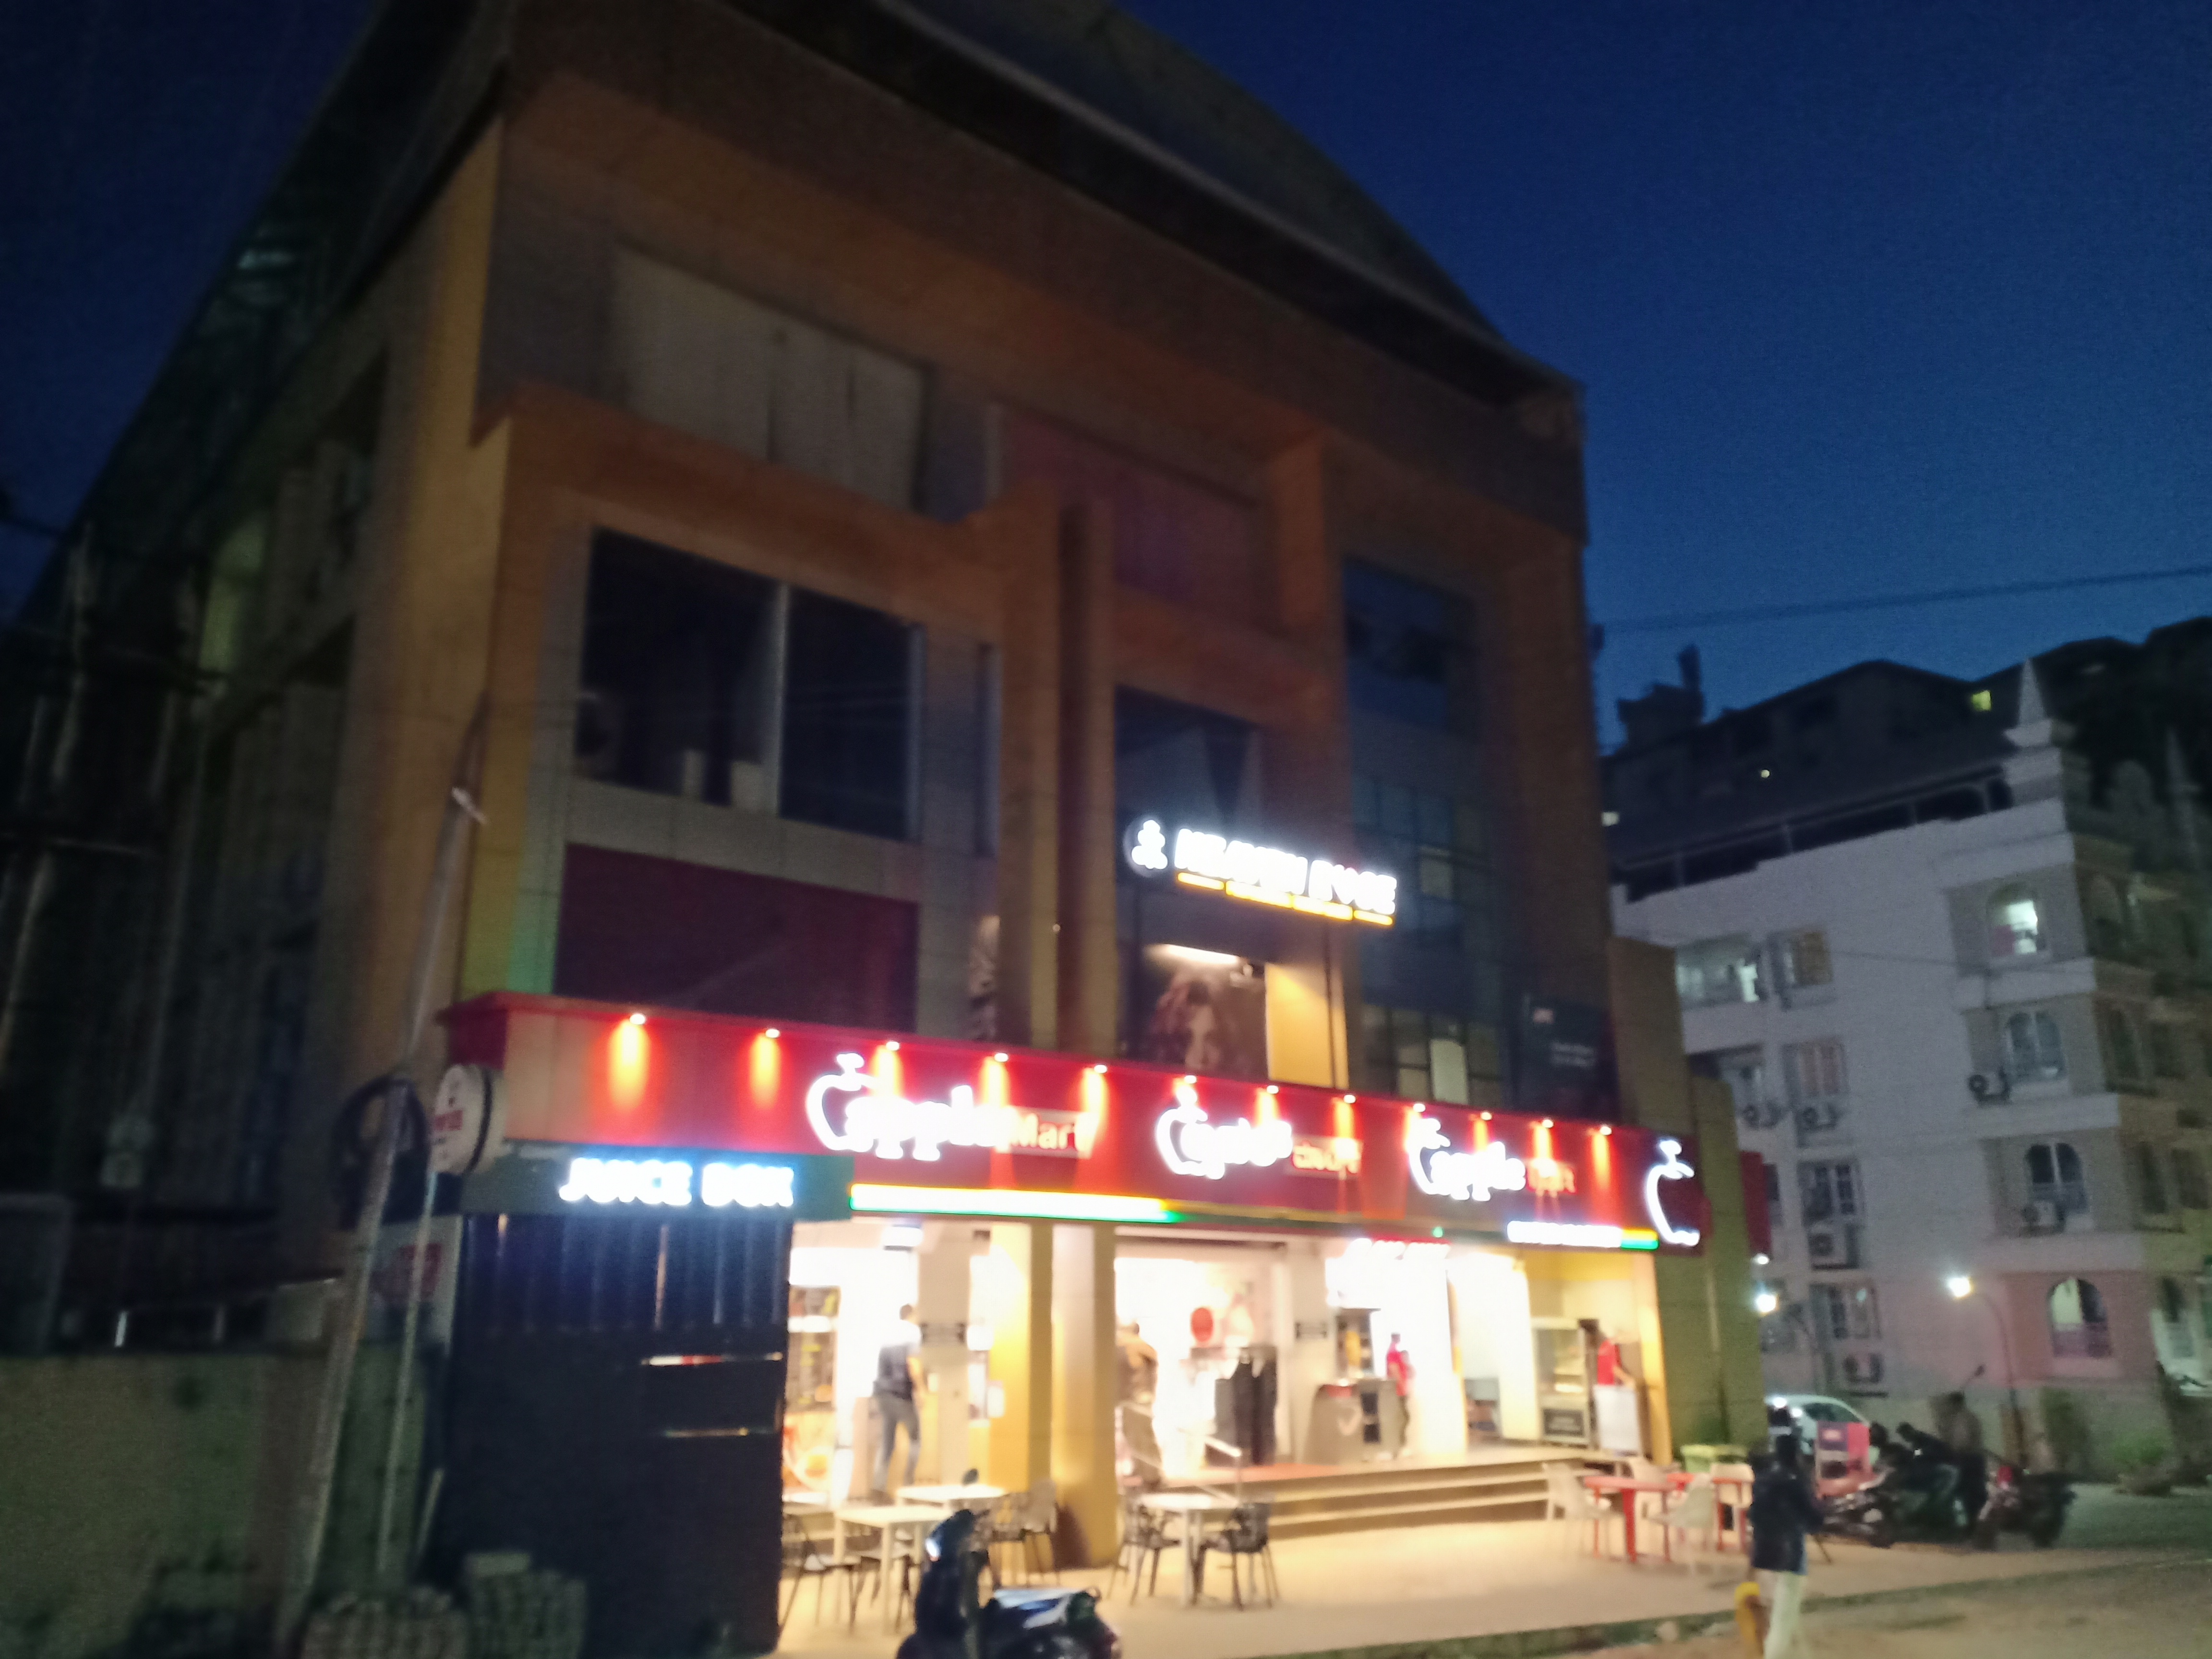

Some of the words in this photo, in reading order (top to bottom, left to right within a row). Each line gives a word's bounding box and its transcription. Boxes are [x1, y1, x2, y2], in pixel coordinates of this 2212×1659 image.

[799, 1037, 1094, 1166] applemart
[1403, 1108, 1585, 1209] Capple